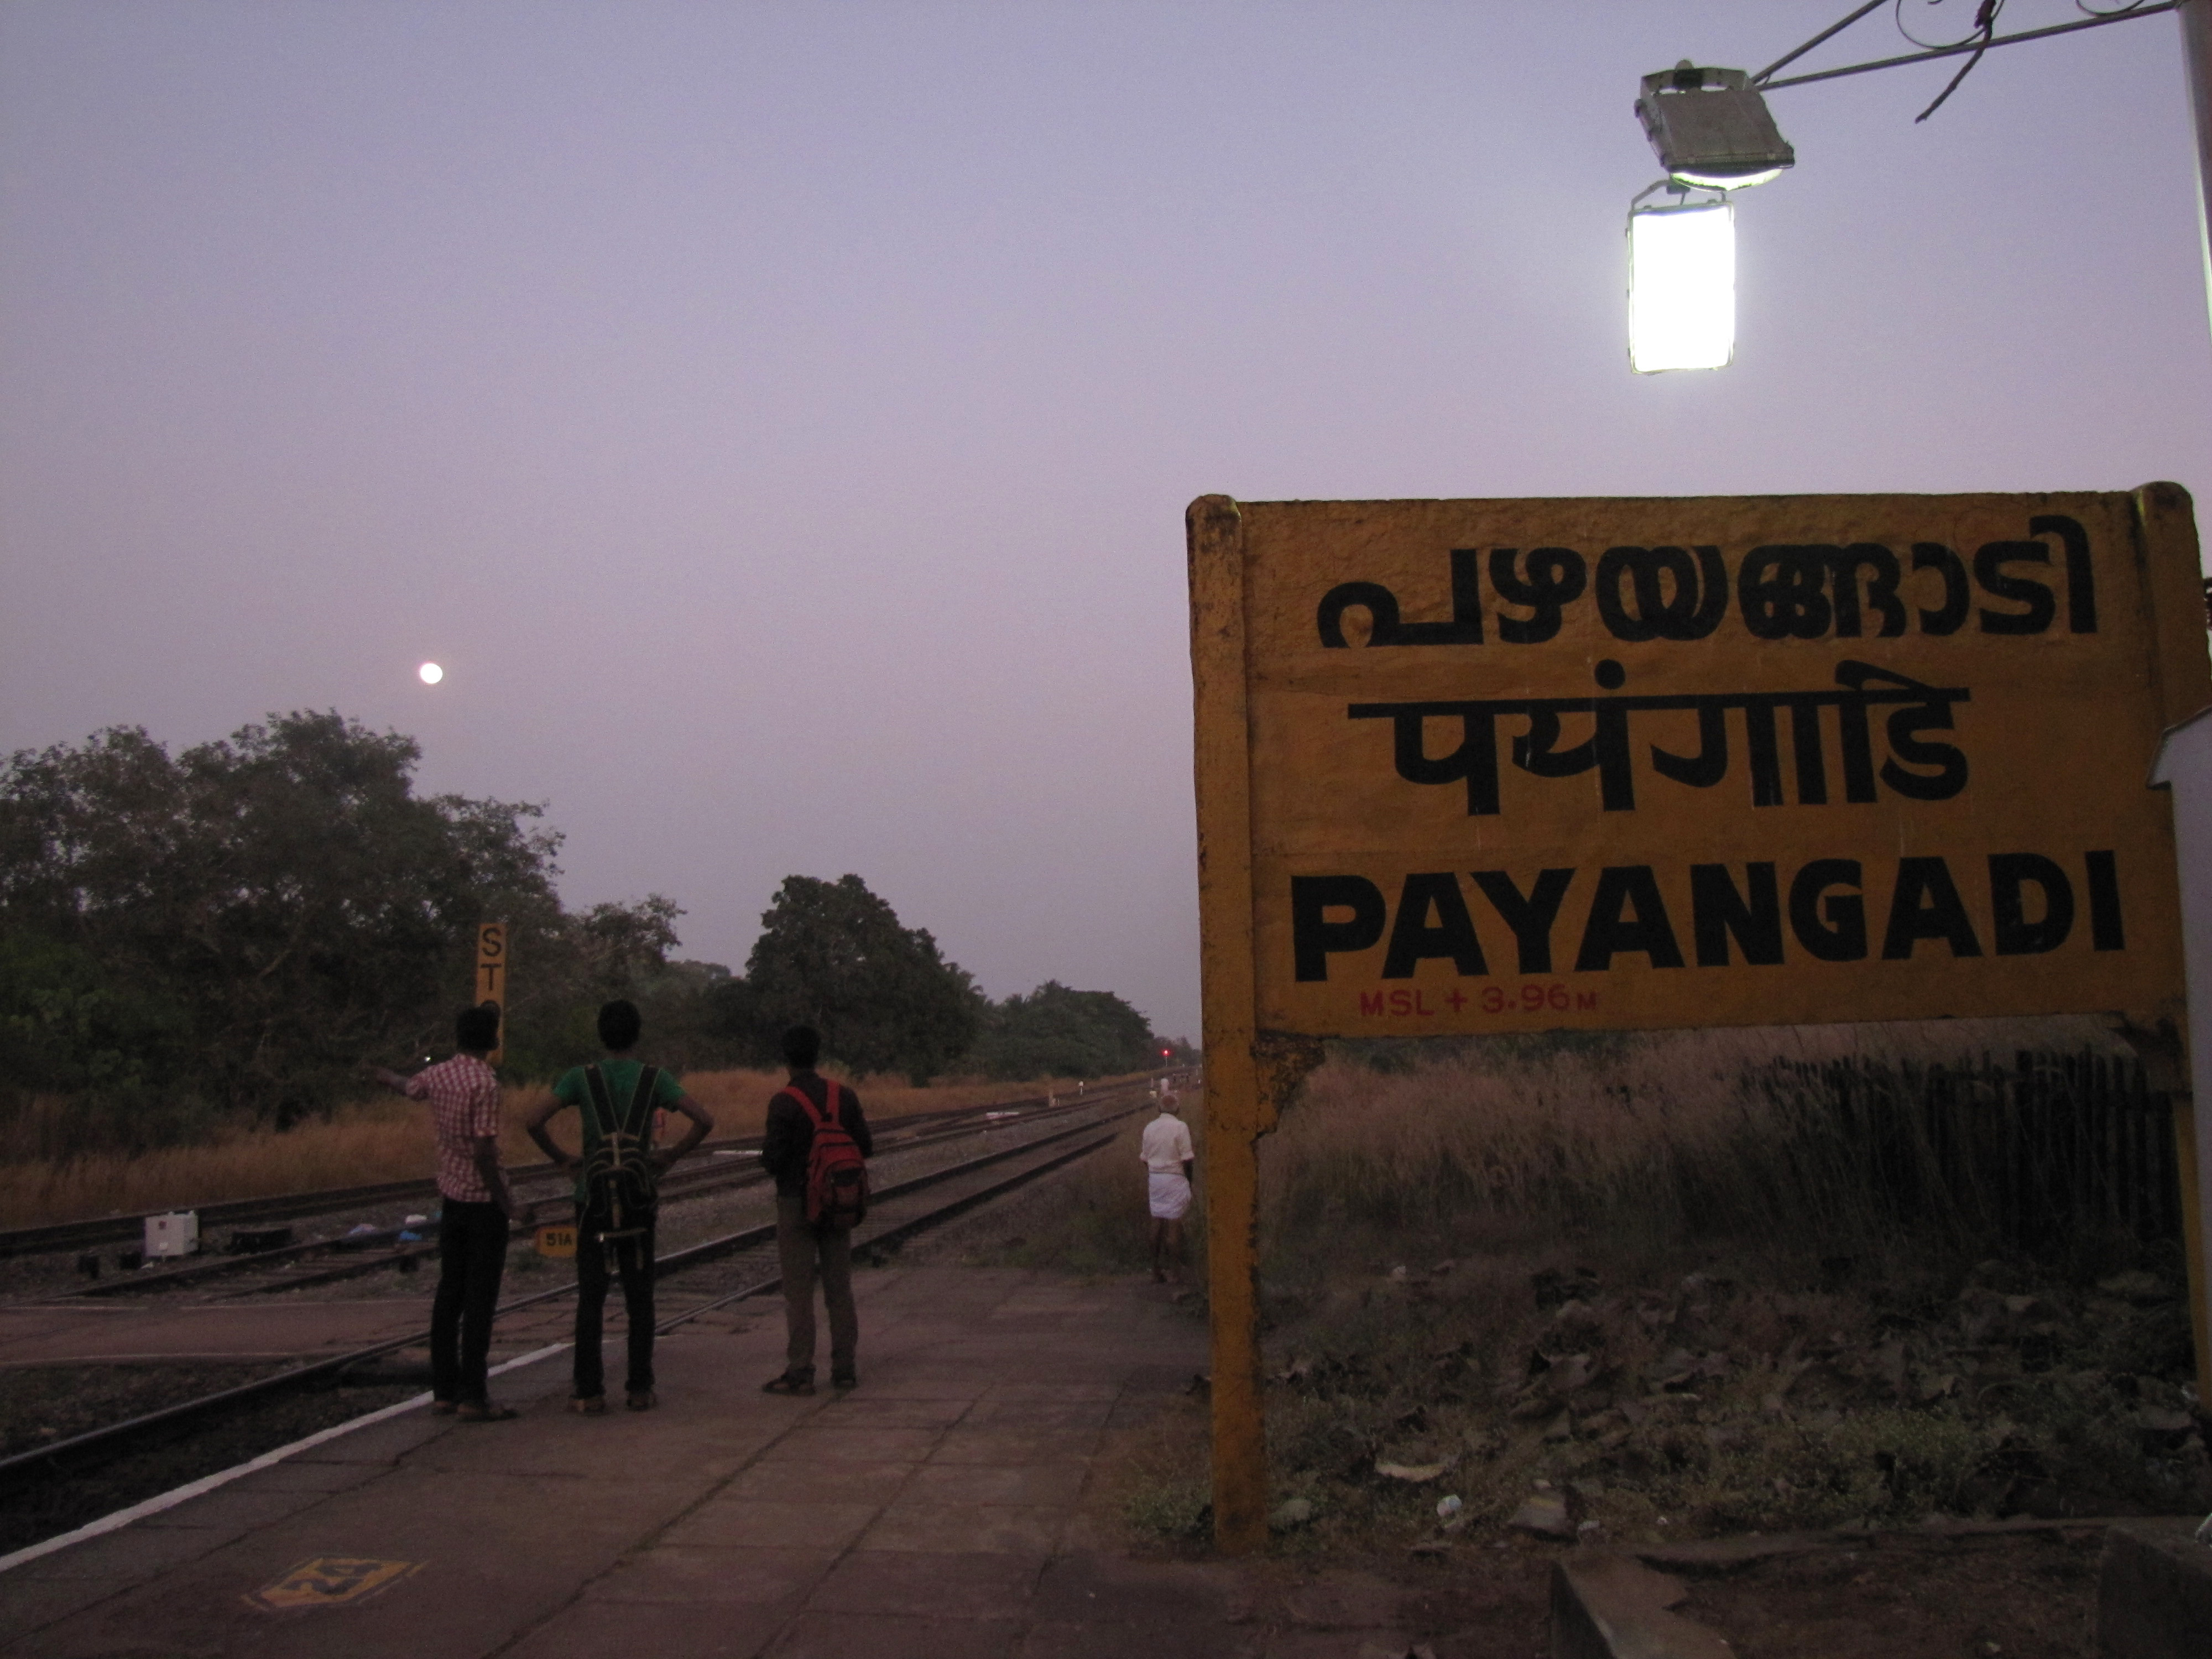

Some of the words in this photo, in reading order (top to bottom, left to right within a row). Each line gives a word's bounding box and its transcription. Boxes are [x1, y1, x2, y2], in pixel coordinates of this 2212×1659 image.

[1309, 502, 2101, 653] പഴയങ്ങാടി
[1344, 643, 1978, 821] पयंगाडि
[1289, 844, 2132, 987] PAYANGADI
[1355, 983, 1444, 1021] MSL
[1473, 980, 1605, 1021] 3.96M